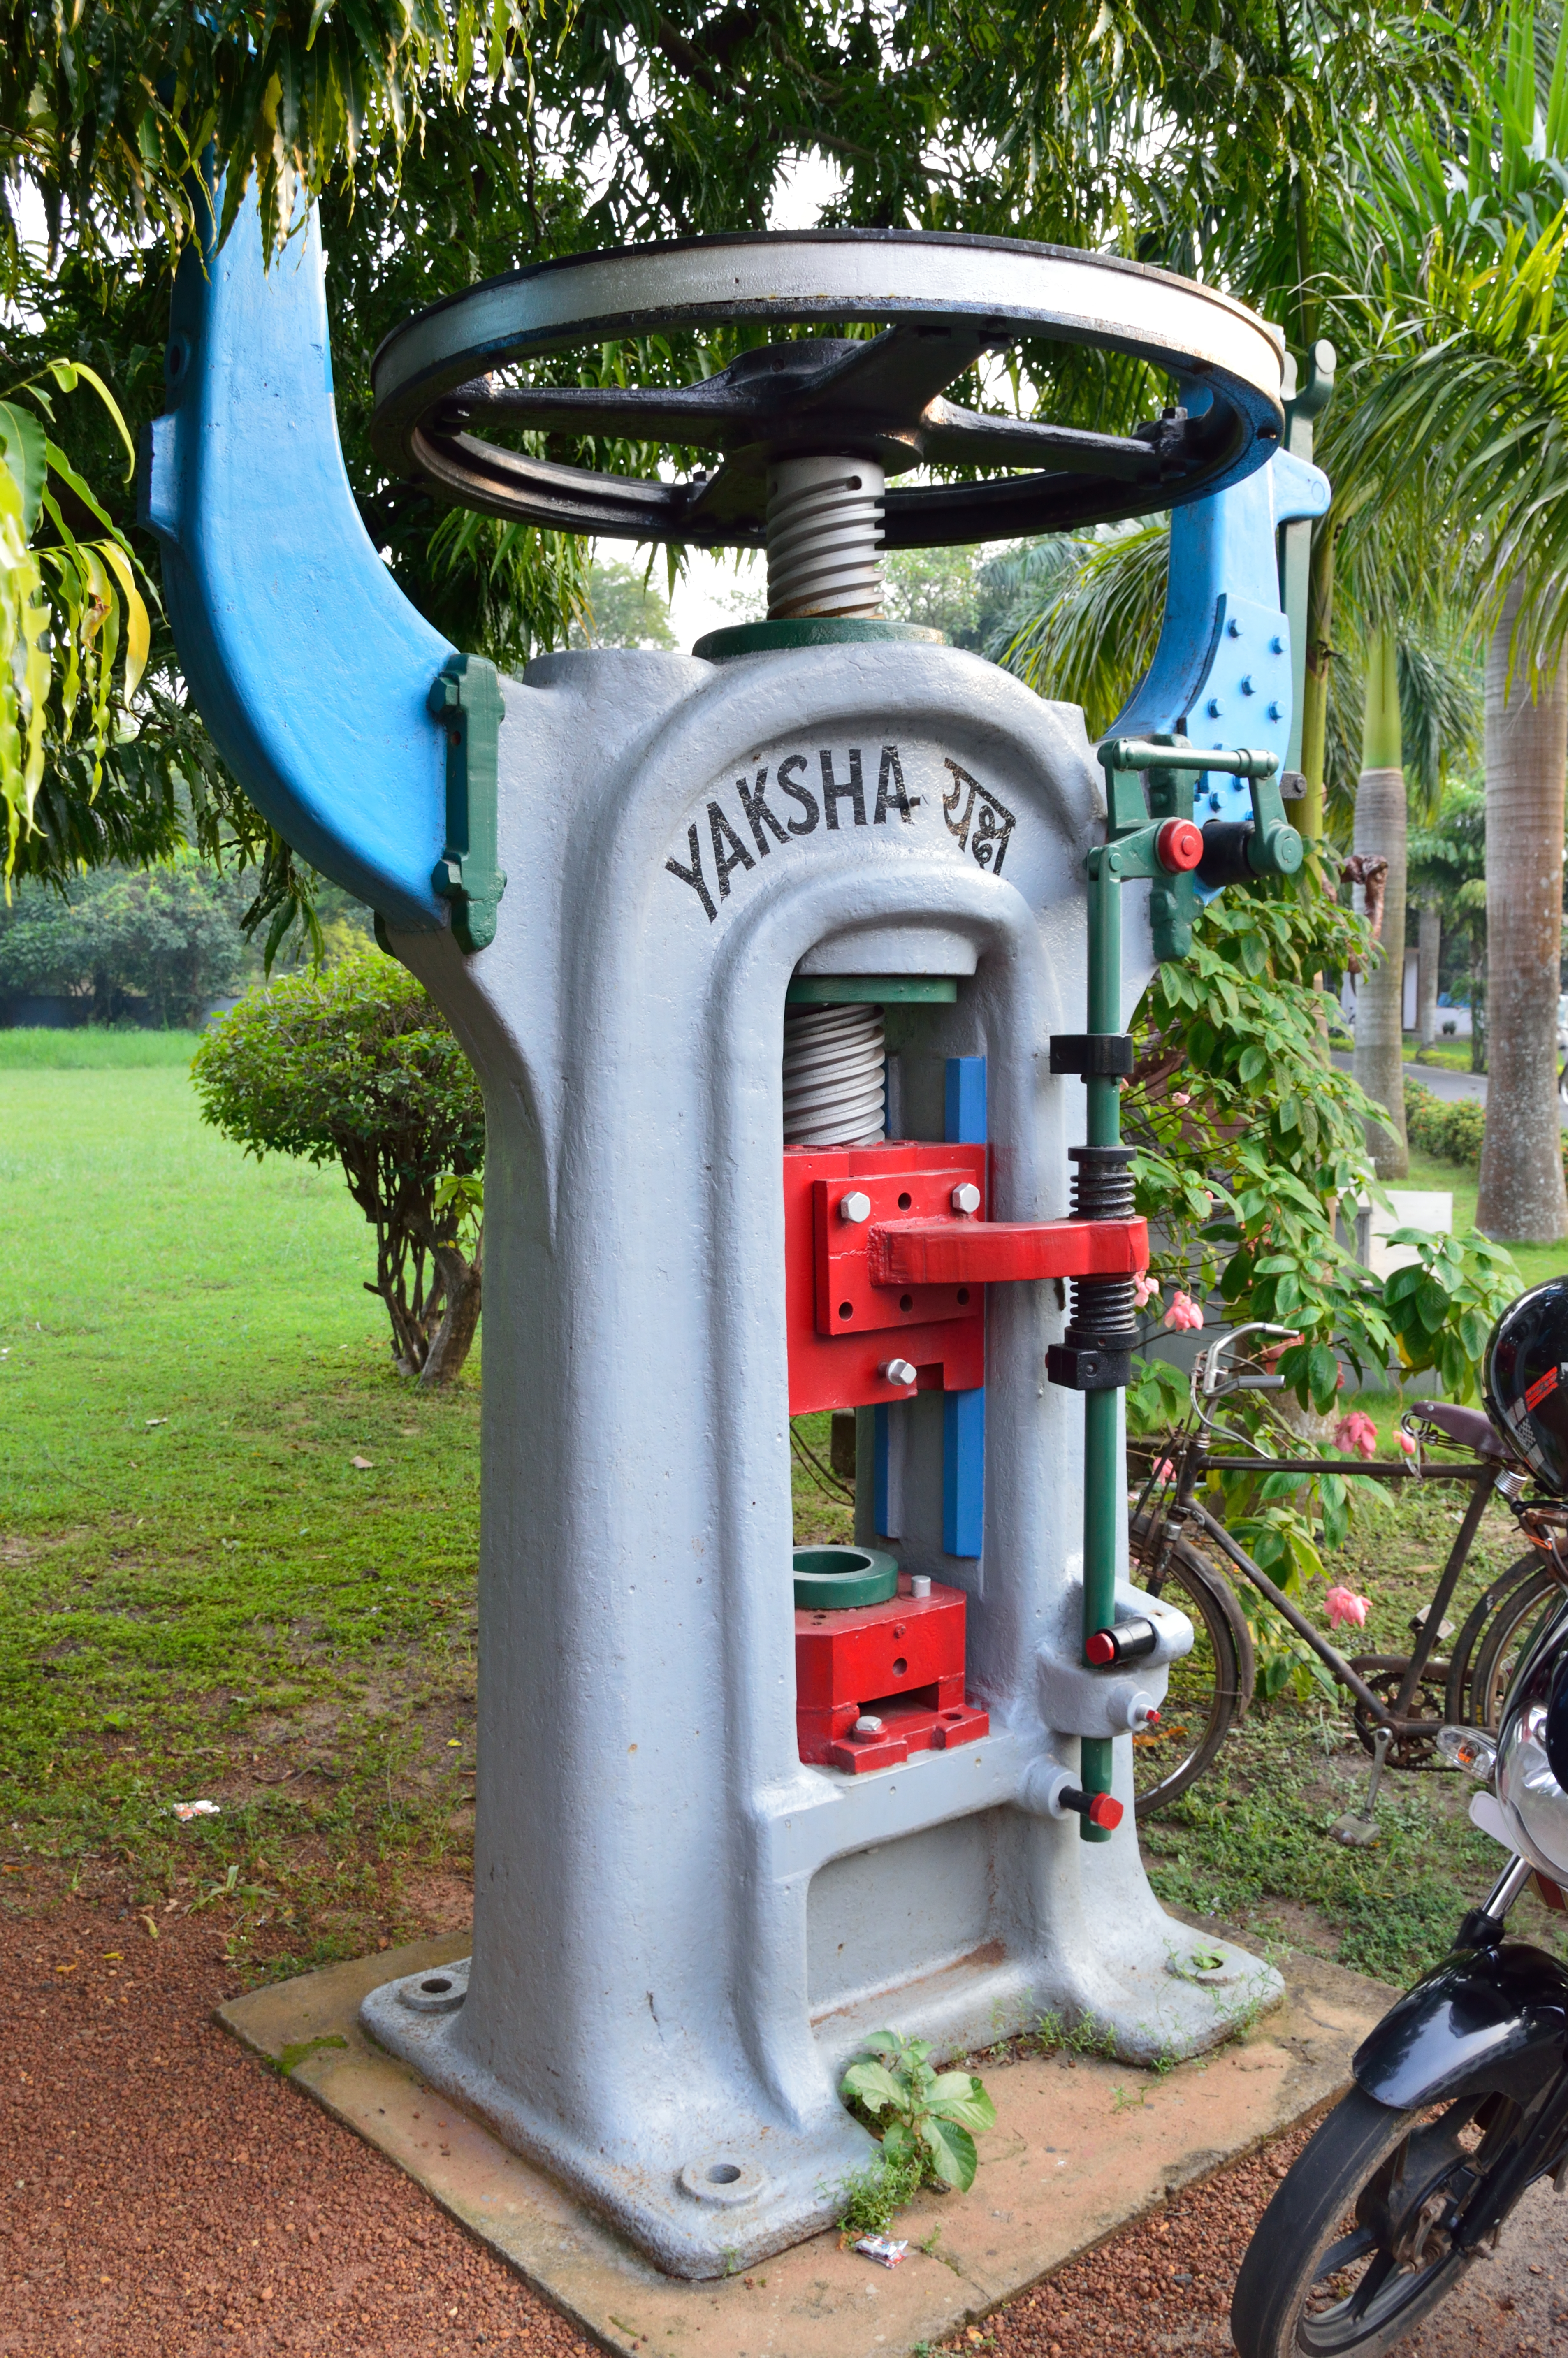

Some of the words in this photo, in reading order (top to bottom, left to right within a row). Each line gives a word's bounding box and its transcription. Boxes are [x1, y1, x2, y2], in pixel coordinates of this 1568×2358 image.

[664, 744, 916, 925] YAKSHA
[940, 756, 1017, 877] यक्ष